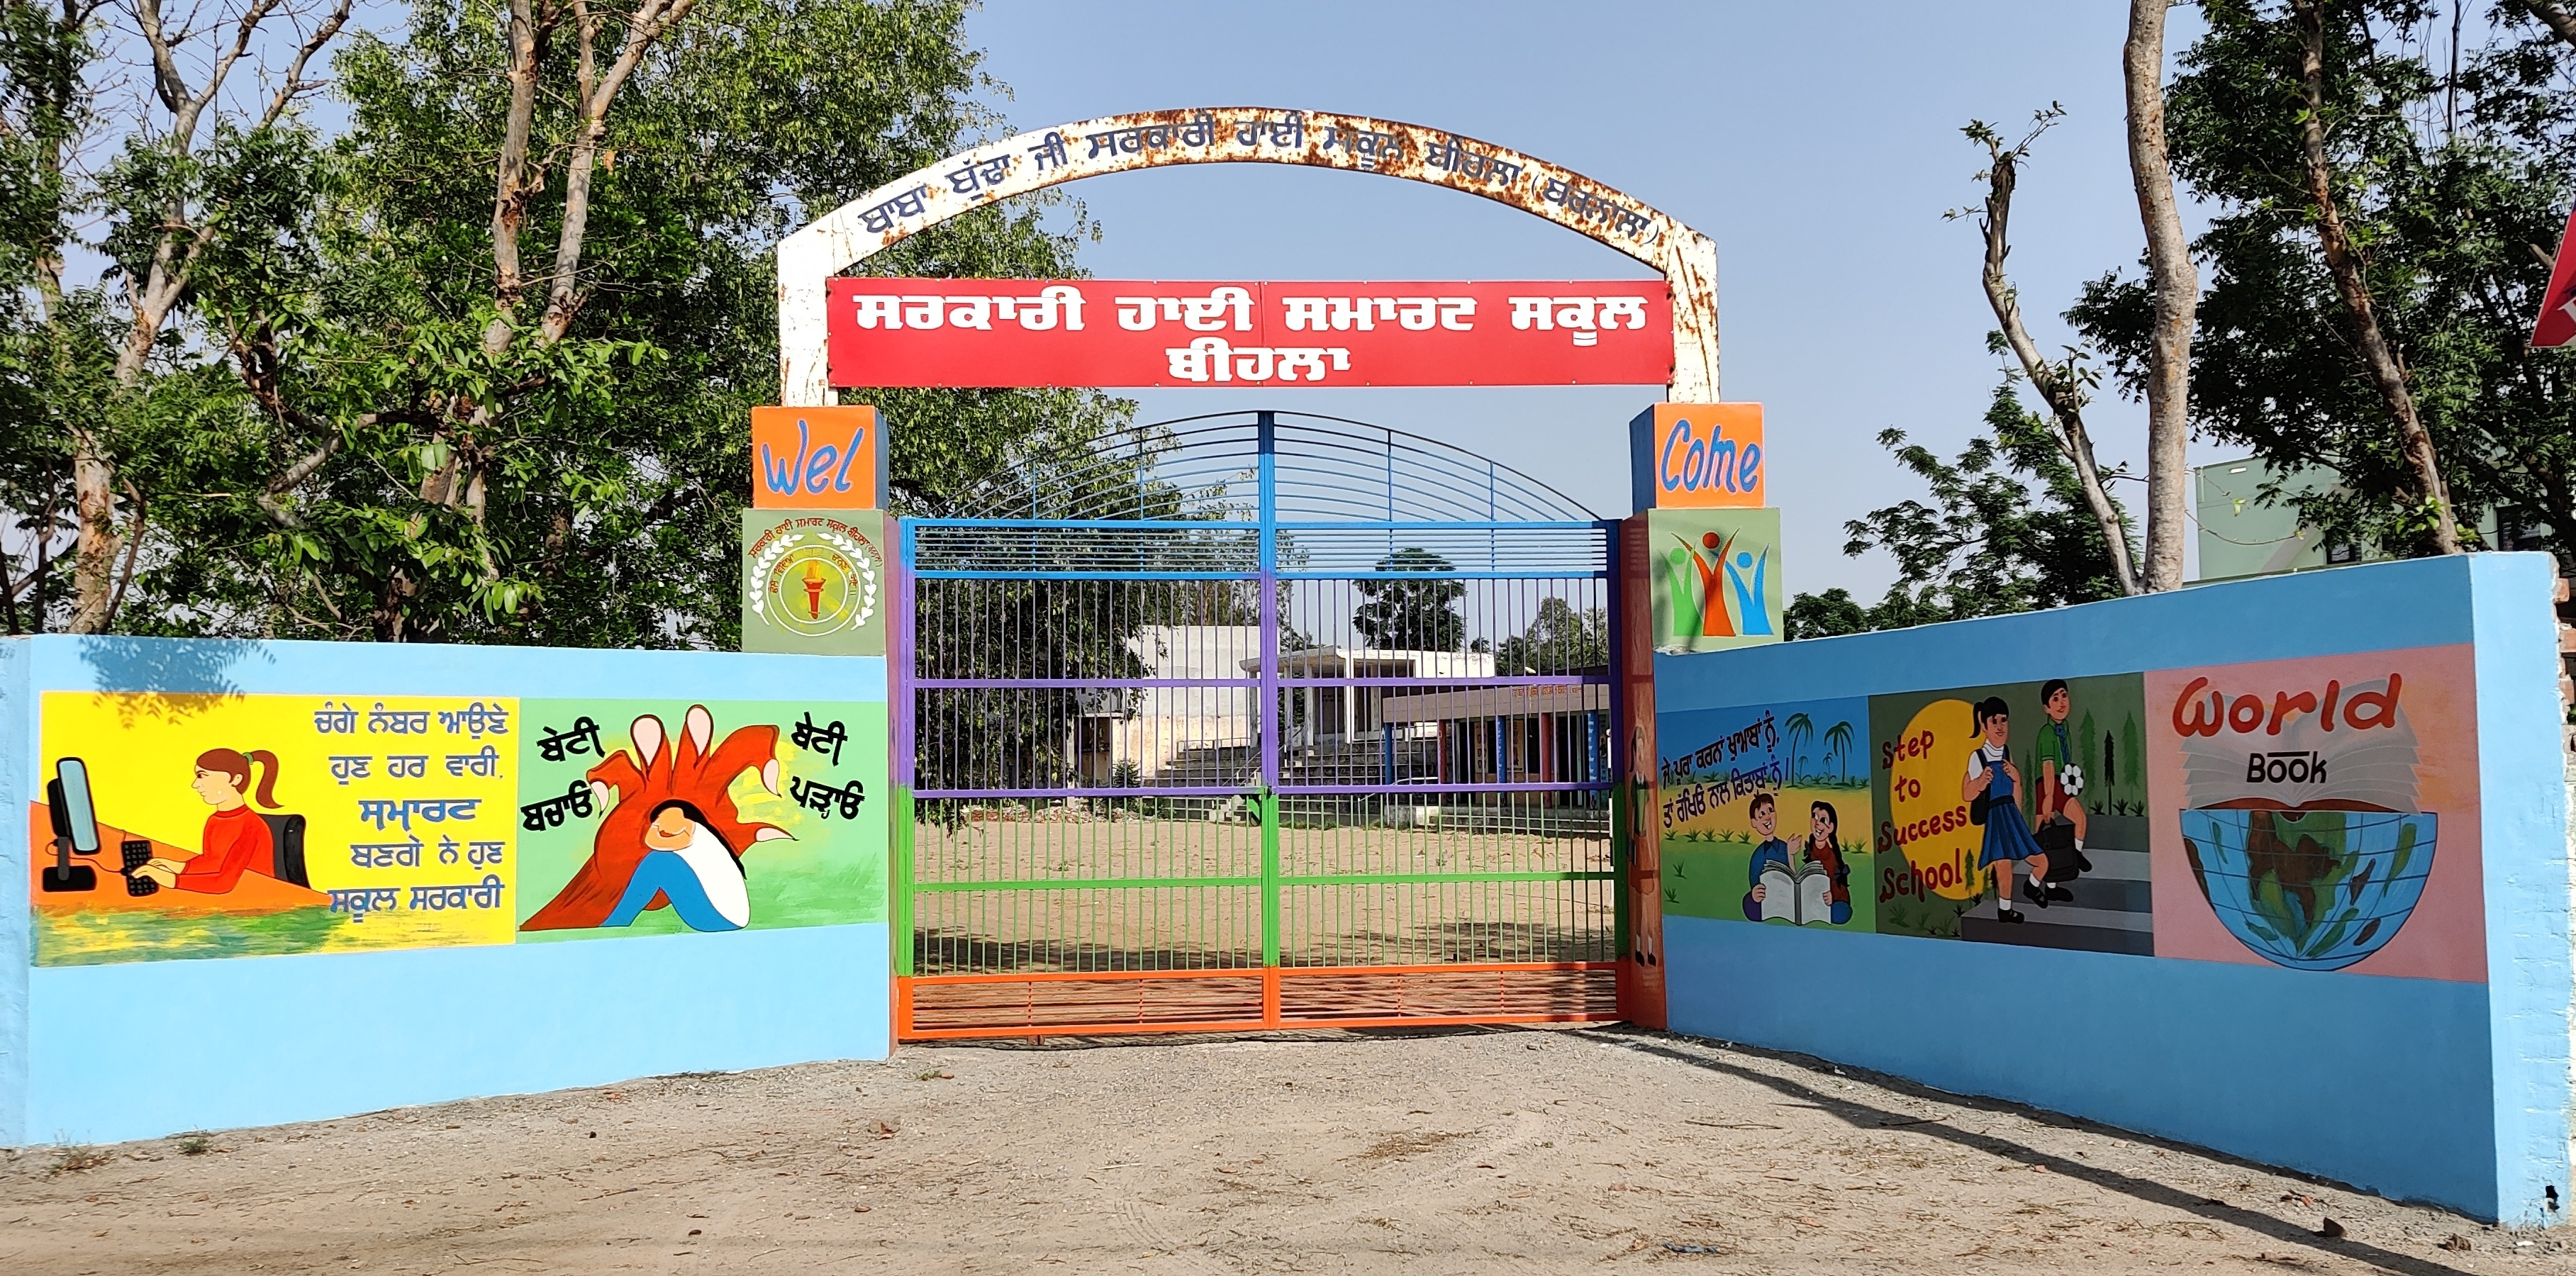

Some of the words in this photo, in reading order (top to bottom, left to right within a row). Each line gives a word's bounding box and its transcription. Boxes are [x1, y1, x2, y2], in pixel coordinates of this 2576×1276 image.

[938, 145, 1019, 205] ਬੁੱਢਾ
[1024, 127, 1072, 179] ਜੀ
[1076, 109, 1222, 165] ਸਰਕਾਰੀ
[1227, 107, 1315, 158] ਹਾਈ
[1308, 121, 1411, 170] ਸਕੂਲ
[1413, 133, 1529, 194] ਬੀਹਲਾ
[849, 178, 941, 241] ਬਾਬਾ
[1537, 173, 1657, 242] ਬਰਨਾਲਾ
[844, 281, 1097, 341] ਸਰਕਾਰੀ
[1107, 281, 1271, 340] ਹਾਈ
[1276, 286, 1486, 342] ਸਮਾਰਟ
[1498, 288, 1653, 352] ਸਕੂਲ
[1157, 332, 1355, 387] ਬੀਹਲਾ
[754, 412, 876, 503] Wel
[1654, 413, 1768, 501] Come
[308, 698, 361, 738] ਚੰਗੇ
[320, 754, 379, 793] ਹੁਣ
[320, 883, 403, 928] ਸਕੂਲ
[342, 831, 428, 875] ਬਣਗੇ
[362, 700, 435, 739] ਨੰਬਰ
[381, 751, 434, 785] ਹਰ
[352, 795, 489, 836] ਸਮਾਰਟ
[433, 832, 464, 868] ਨੇ
[401, 869, 511, 917] ਸਰਕਾਰੀ
[442, 742, 504, 781] ਵਾਰੀ
[433, 698, 517, 742] ਆਉਣੇ
[463, 838, 511, 873] ਹੁਣ
[512, 773, 596, 839] ਬਚਾੳ
[527, 709, 612, 769] ਬੇਟੀ
[785, 707, 852, 772] ਬੇਟੀ
[783, 765, 871, 830] ਪੜਾੳ
[1657, 752, 1674, 793] ਜੇ
[1658, 792, 1675, 832] ਤਾਂ
[1671, 749, 1695, 786] ਪੂਰਾ
[1674, 779, 1709, 827] ਰੱਖਿੳ
[1693, 729, 1727, 773] ਕਰਨਾਂ
[1704, 776, 1733, 812] ਨਲ
[1725, 714, 1763, 764] ਖੁਆਬਾਂ
[1727, 756, 1769, 802] ਕਿਤਾਬਾਂ
[1761, 703, 1785, 756] ਨੂੰ.
[1768, 751, 1792, 799] ਨੂੰ।
[1874, 722, 1944, 777] Step
[1889, 766, 1933, 811] to
[1873, 842, 1966, 906] School
[1873, 797, 1972, 858] Success
[2161, 662, 2414, 746] world
[2235, 743, 2341, 791] Book